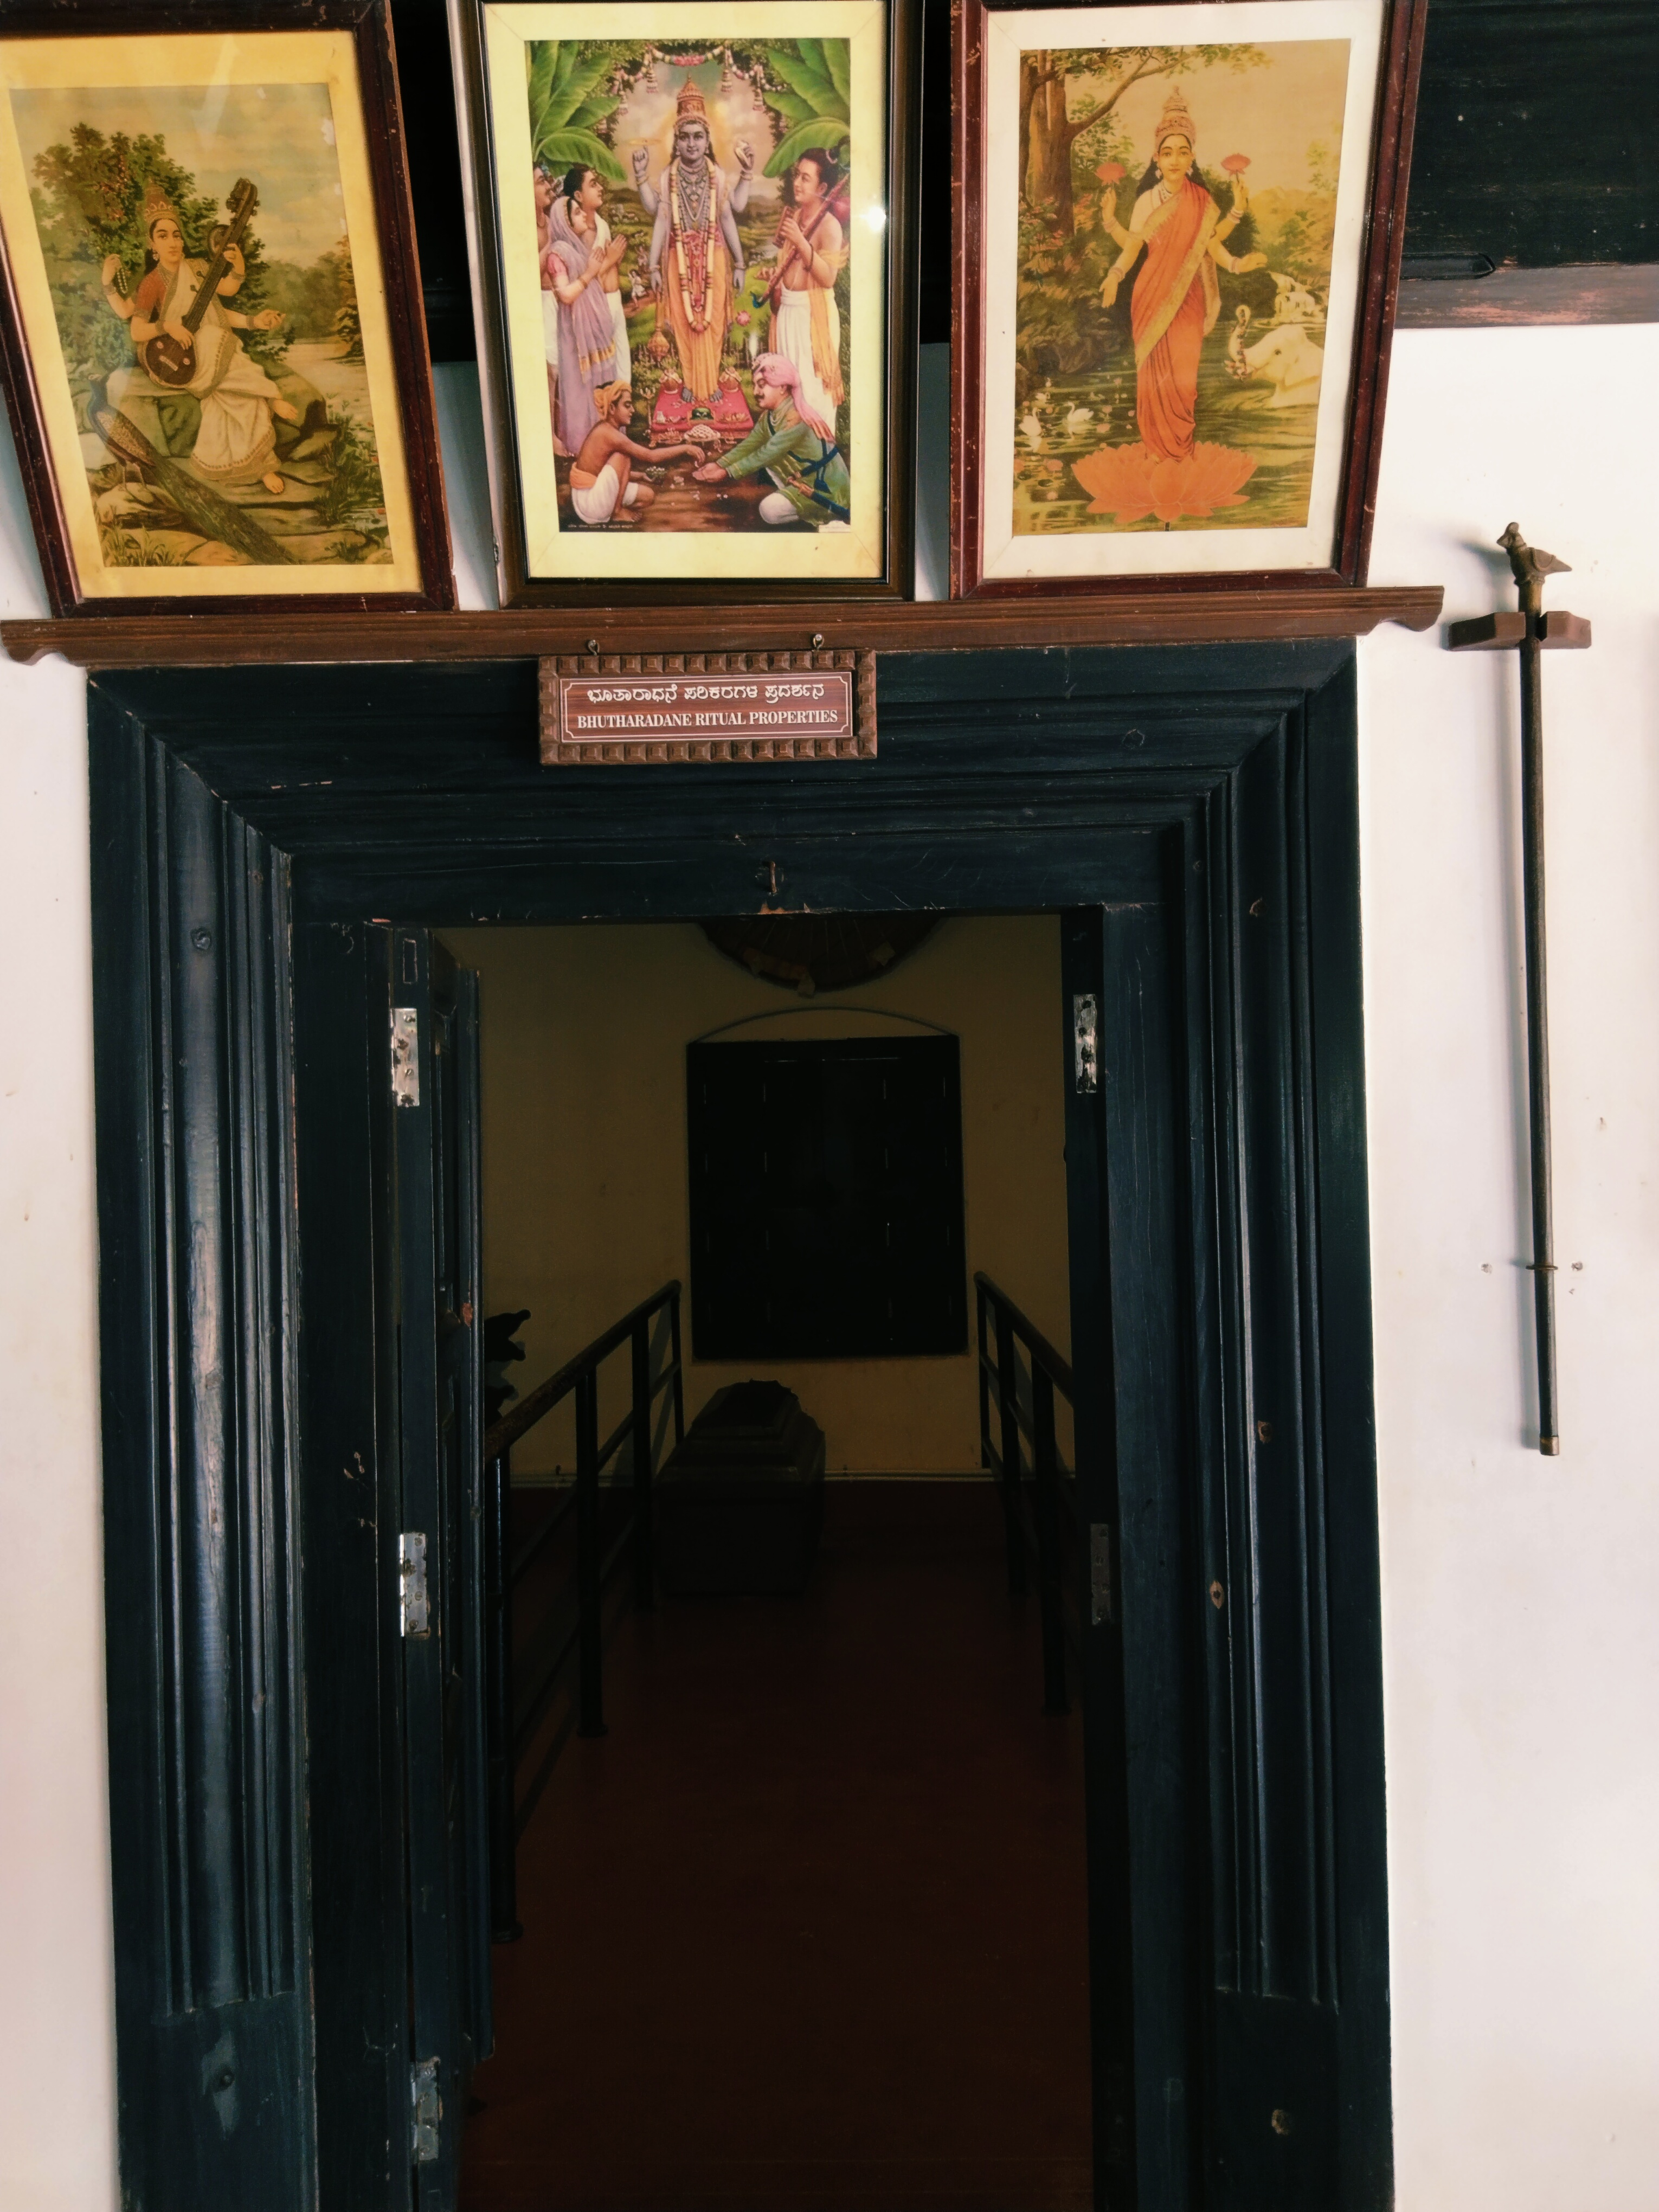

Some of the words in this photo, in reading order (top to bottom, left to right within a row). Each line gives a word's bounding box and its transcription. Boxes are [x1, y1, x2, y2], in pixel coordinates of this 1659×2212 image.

[584, 680, 681, 705] ಭೂತಾರಾಧನೆ
[682, 683, 759, 702] ಶರೀರಗಳ
[764, 680, 827, 706] ಪ್ರದರ್ಶನ
[572, 711, 695, 730] BHUTHARADANE
[692, 710, 748, 729] RITUAL
[748, 707, 840, 727] PROPERTIES